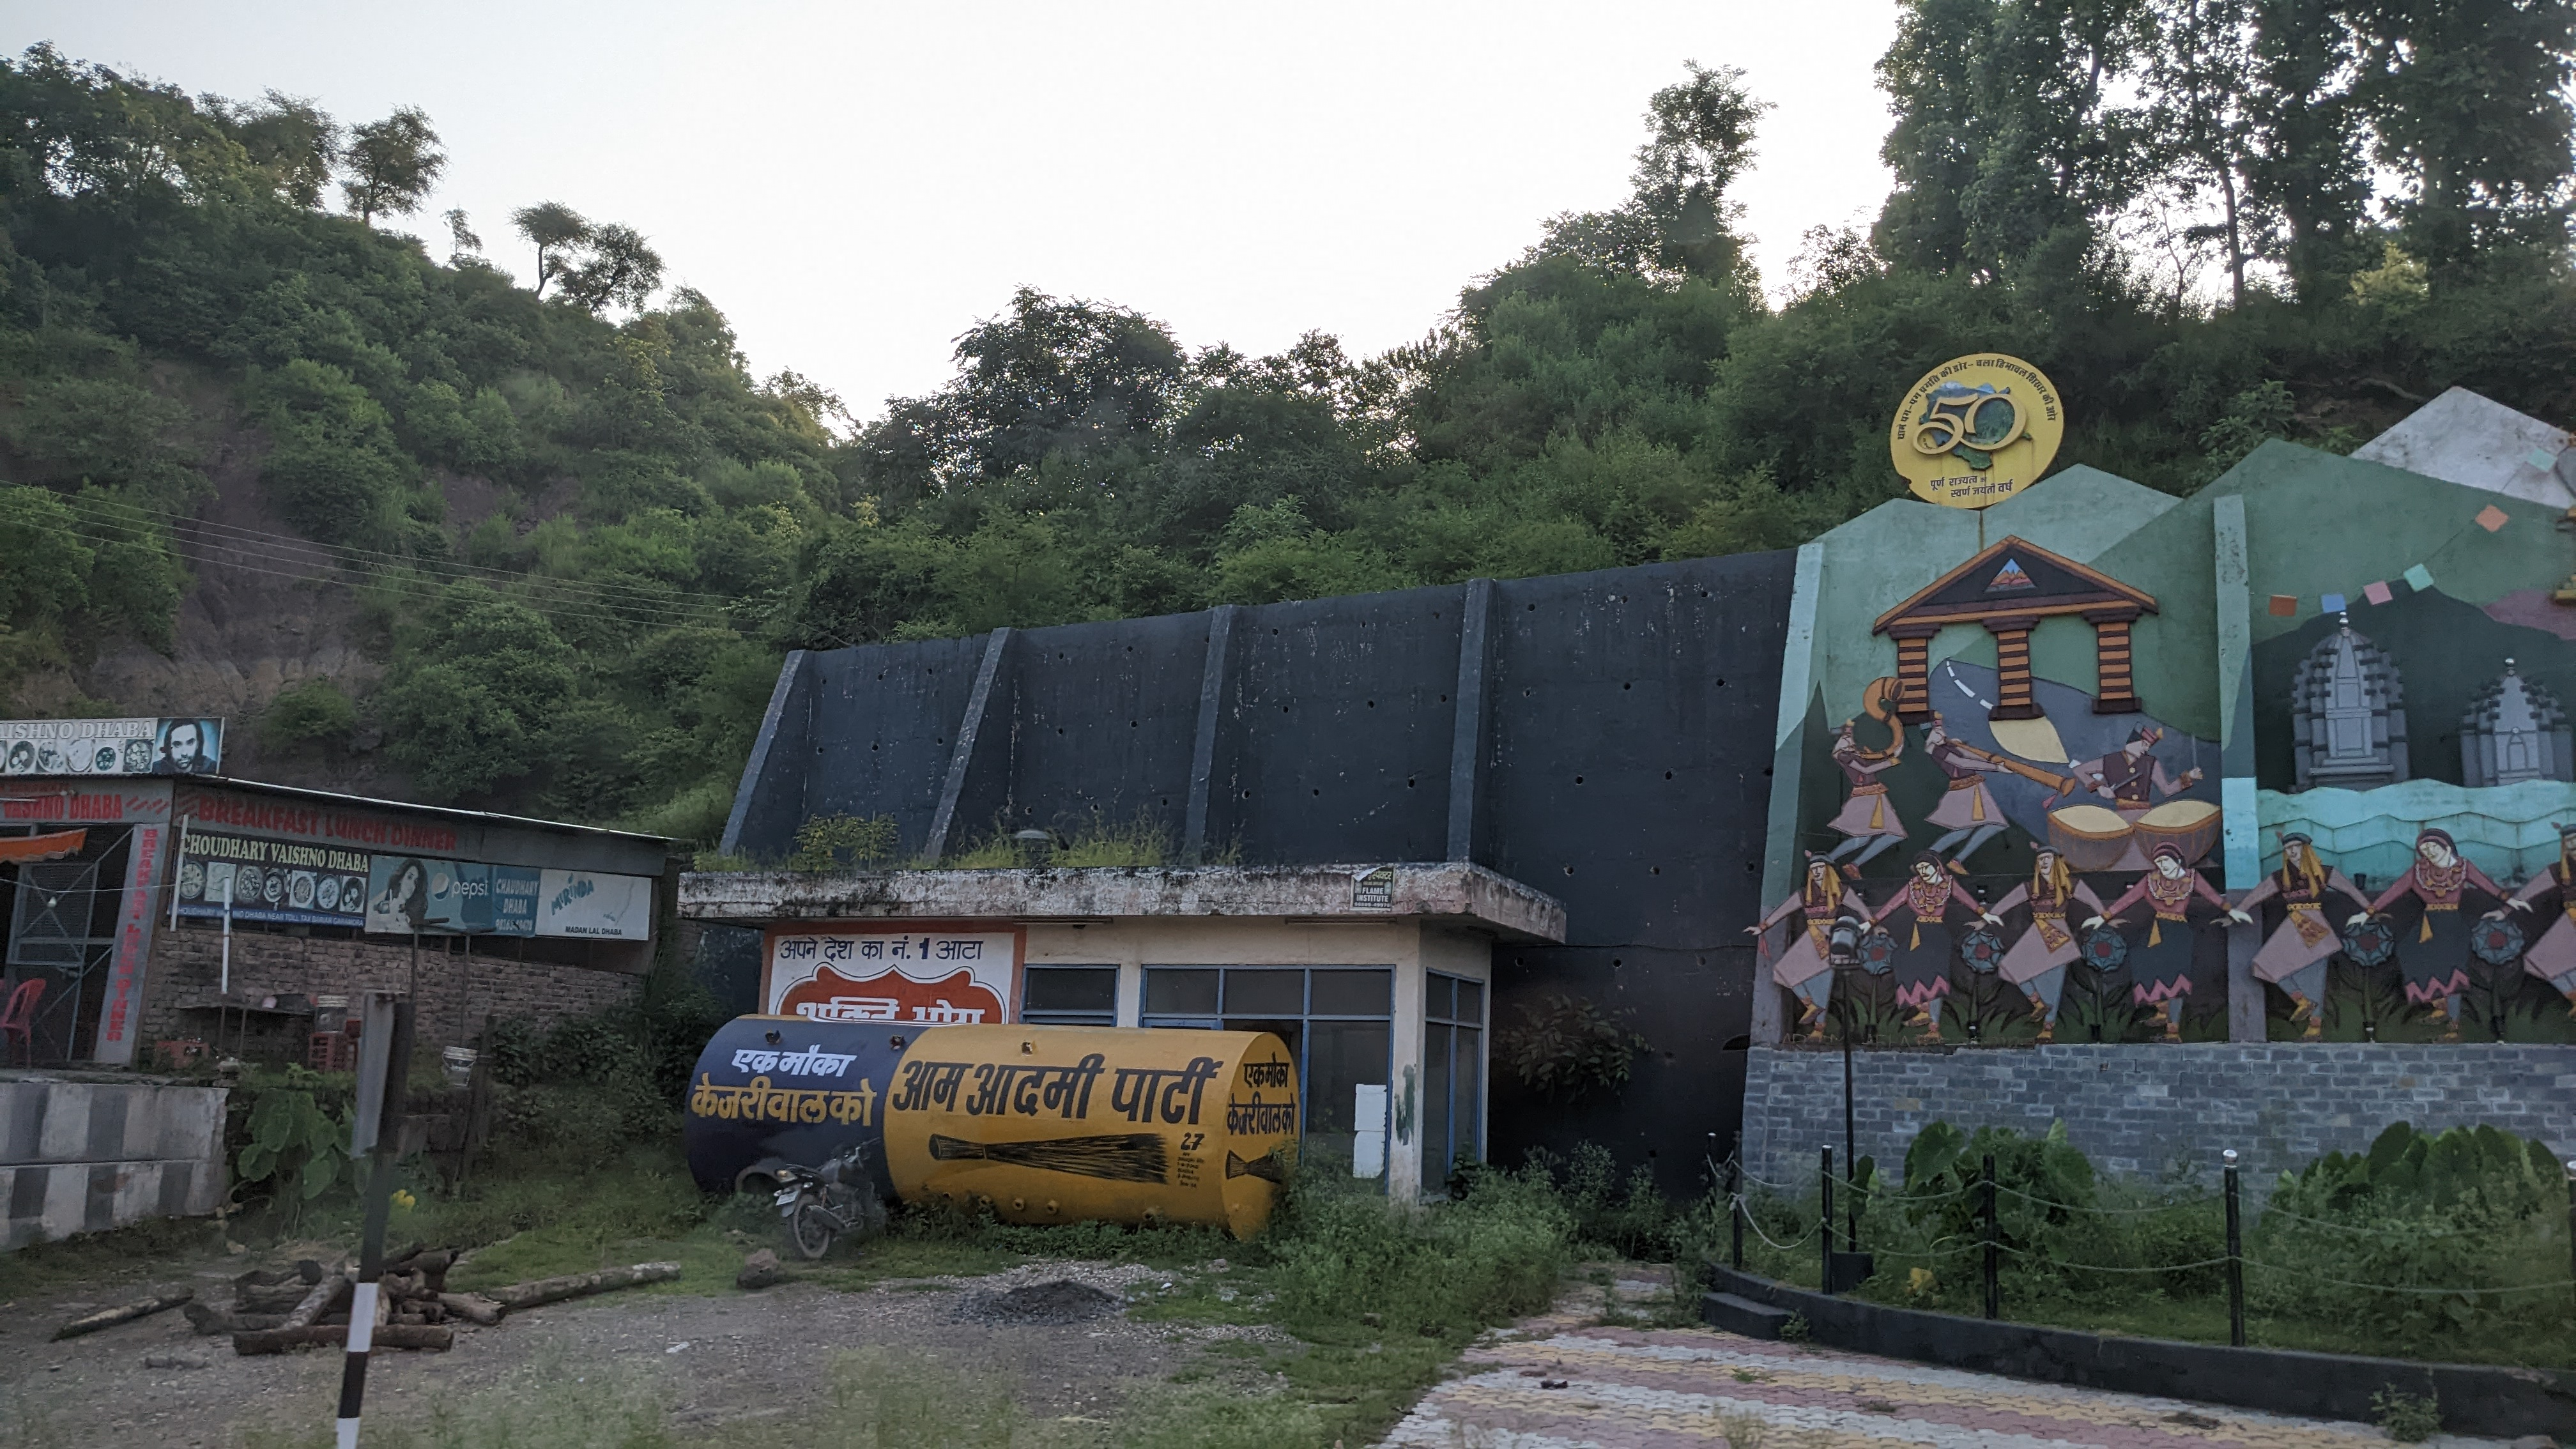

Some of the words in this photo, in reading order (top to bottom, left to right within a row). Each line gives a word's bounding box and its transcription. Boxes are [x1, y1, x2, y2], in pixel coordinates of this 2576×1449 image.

[1906, 387, 1925, 407] पग
[1915, 372, 1942, 397] प्रगति
[1935, 362, 1954, 381] की
[1949, 355, 1969, 375] डोर
[1972, 356, 1997, 370] वला
[1991, 353, 2030, 380] हिमाचल
[2023, 369, 2050, 397] शिखर
[2039, 389, 2058, 408] की
[1897, 405, 1915, 423] पग
[2040, 402, 2060, 424] ओर
[1924, 473, 1947, 493] पू्र्ण
[1947, 483, 1972, 500] स्वर्ण
[1945, 473, 1980, 490] राज्यत्व
[1976, 473, 1988, 484] का
[1969, 479, 1998, 497] जयंती
[1994, 475, 2015, 496] वर्ष
[1, 717, 76, 743] ISHNO
[77, 716, 157, 743] DHABA
[1, 790, 66, 826] VASANO
[66, 790, 125, 822] DHABA
[176, 829, 273, 864] CHOUDHARY
[196, 791, 326, 836] BREAKFAST
[267, 838, 329, 871] VAISHNO
[325, 846, 371, 877] DHABA
[322, 808, 392, 846] LUNCH
[390, 819, 461, 856] DINNER
[447, 877, 491, 900] pepsi
[500, 894, 530, 917] DHABA
[492, 873, 541, 899] CHAUDHARY
[548, 876, 597, 918] MIRINDA
[562, 922, 590, 936] MADAN
[585, 924, 602, 938] LAL
[598, 925, 624, 937] DHABA
[776, 931, 820, 962] अपने
[820, 929, 857, 964] देश
[859, 937, 887, 961] का
[889, 930, 933, 962] नं. 1
[932, 935, 983, 962] आटा
[729, 1043, 781, 1076] एक
[776, 1038, 860, 1079] मौका
[1241, 1048, 1291, 1089] एकमोका
[689, 1068, 832, 1128] केजरीवाल
[826, 1076, 877, 1130] को
[888, 1053, 978, 1115] आम
[962, 1047, 1108, 1121] आदमी
[1108, 1050, 1227, 1126] पार्टी
[1223, 1088, 1284, 1136] केजरीवाल
[1279, 1091, 1298, 1135] को